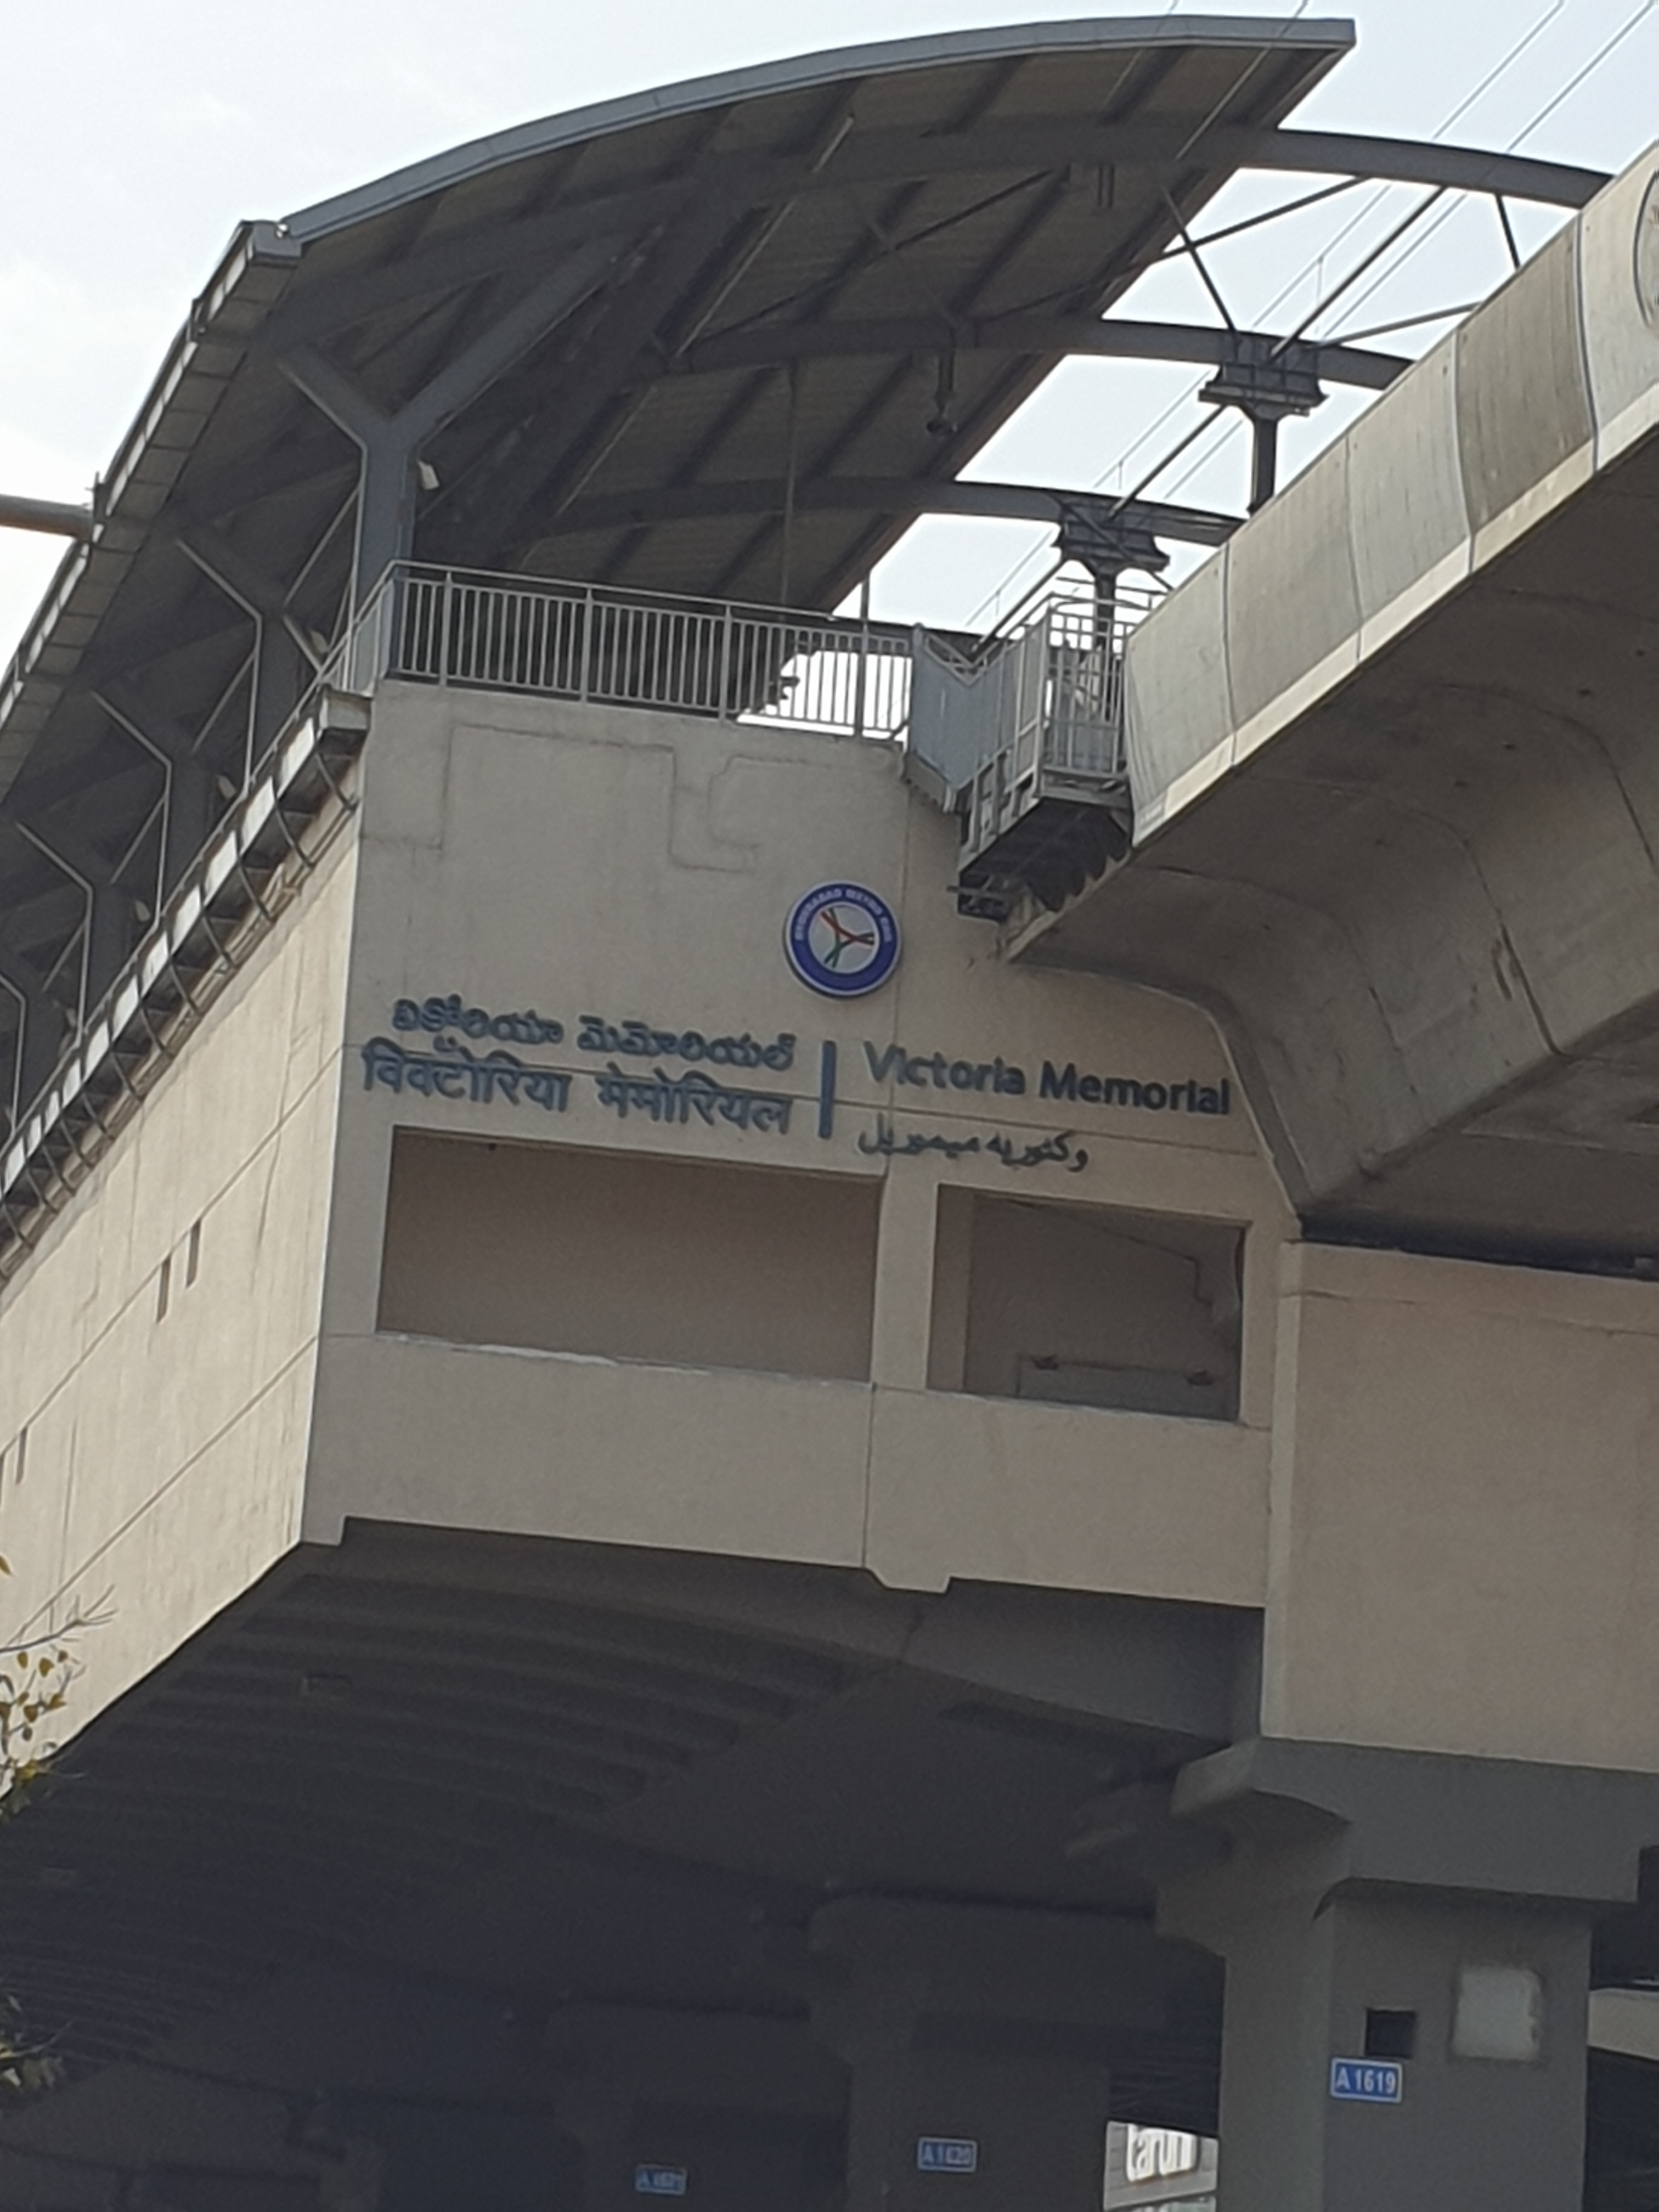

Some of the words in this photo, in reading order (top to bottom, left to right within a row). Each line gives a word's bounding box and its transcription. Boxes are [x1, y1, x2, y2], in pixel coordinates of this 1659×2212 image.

[358, 1029, 582, 1114] विक्टोरिया
[386, 980, 574, 1051] విక్టోరియా
[572, 1004, 805, 1083] మెమోరియల్
[587, 1057, 800, 1139] मेमोरियल
[864, 1037, 1035, 1104] Victoria
[1027, 1053, 1235, 1121] Memorial